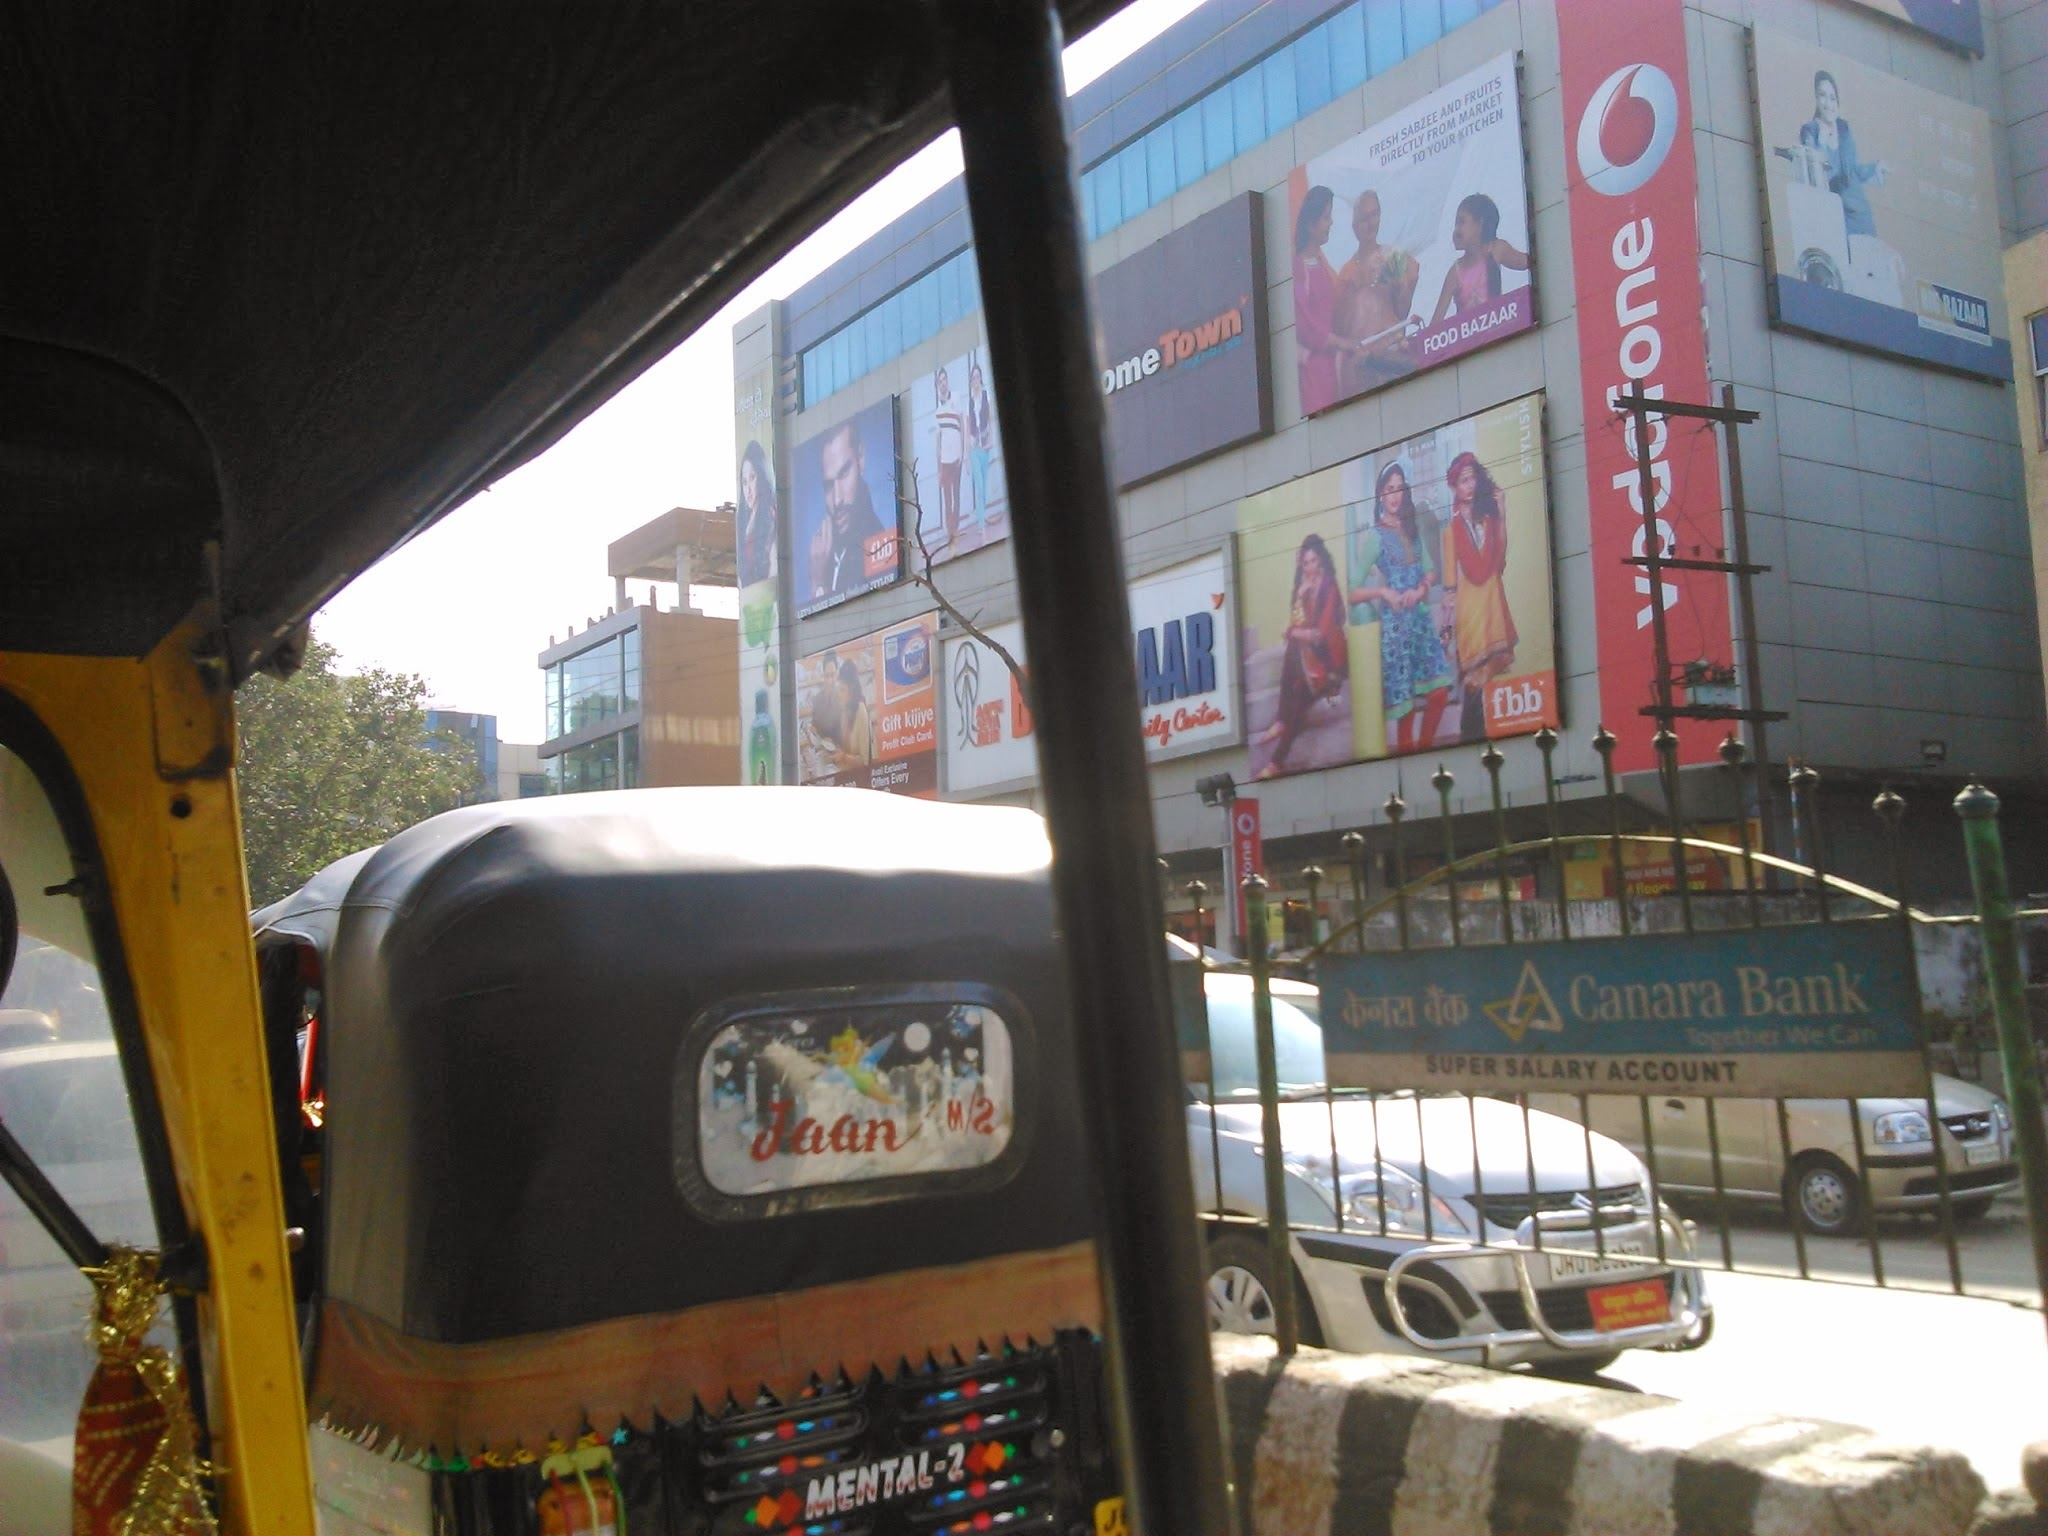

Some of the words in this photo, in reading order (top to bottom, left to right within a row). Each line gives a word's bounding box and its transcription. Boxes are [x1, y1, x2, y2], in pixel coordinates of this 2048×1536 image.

[1363, 126, 1401, 161] FRESH
[1373, 127, 1428, 169] DIRECTLY
[1395, 105, 1442, 143] SABZEE
[1407, 144, 1431, 170] TO
[1423, 128, 1460, 159] YOUR
[1425, 113, 1462, 147] FROM
[1437, 92, 1466, 122] AND
[1452, 85, 1505, 129] MARKET
[1453, 103, 1508, 145] KITCHEN
[1459, 73, 1506, 107] FRUITS
[1158, 307, 1243, 365] Town
[1417, 321, 1461, 361] FOOD
[1455, 297, 1523, 344] BAZAAR
[1096, 342, 1162, 399] ome
[1598, 212, 1698, 638] vodafone
[875, 708, 906, 739] Gift
[901, 701, 938, 733] kijiye
[1486, 675, 1551, 723] fbb
[1327, 983, 1419, 1032] केनरा
[1412, 980, 1472, 1033] बैंक
[1566, 968, 1731, 1025] Canara
[1734, 956, 1871, 1020] Bank
[1679, 1021, 1783, 1054] Together
[1782, 1020, 1878, 1051] WeCan
[1421, 1049, 1500, 1081] SUPER
[1498, 1053, 1601, 1083] SALARY
[1603, 1057, 1739, 1087] ACCOUNT
[749, 1093, 901, 1167] daan
[796, 1428, 978, 1530] MENTAL-2